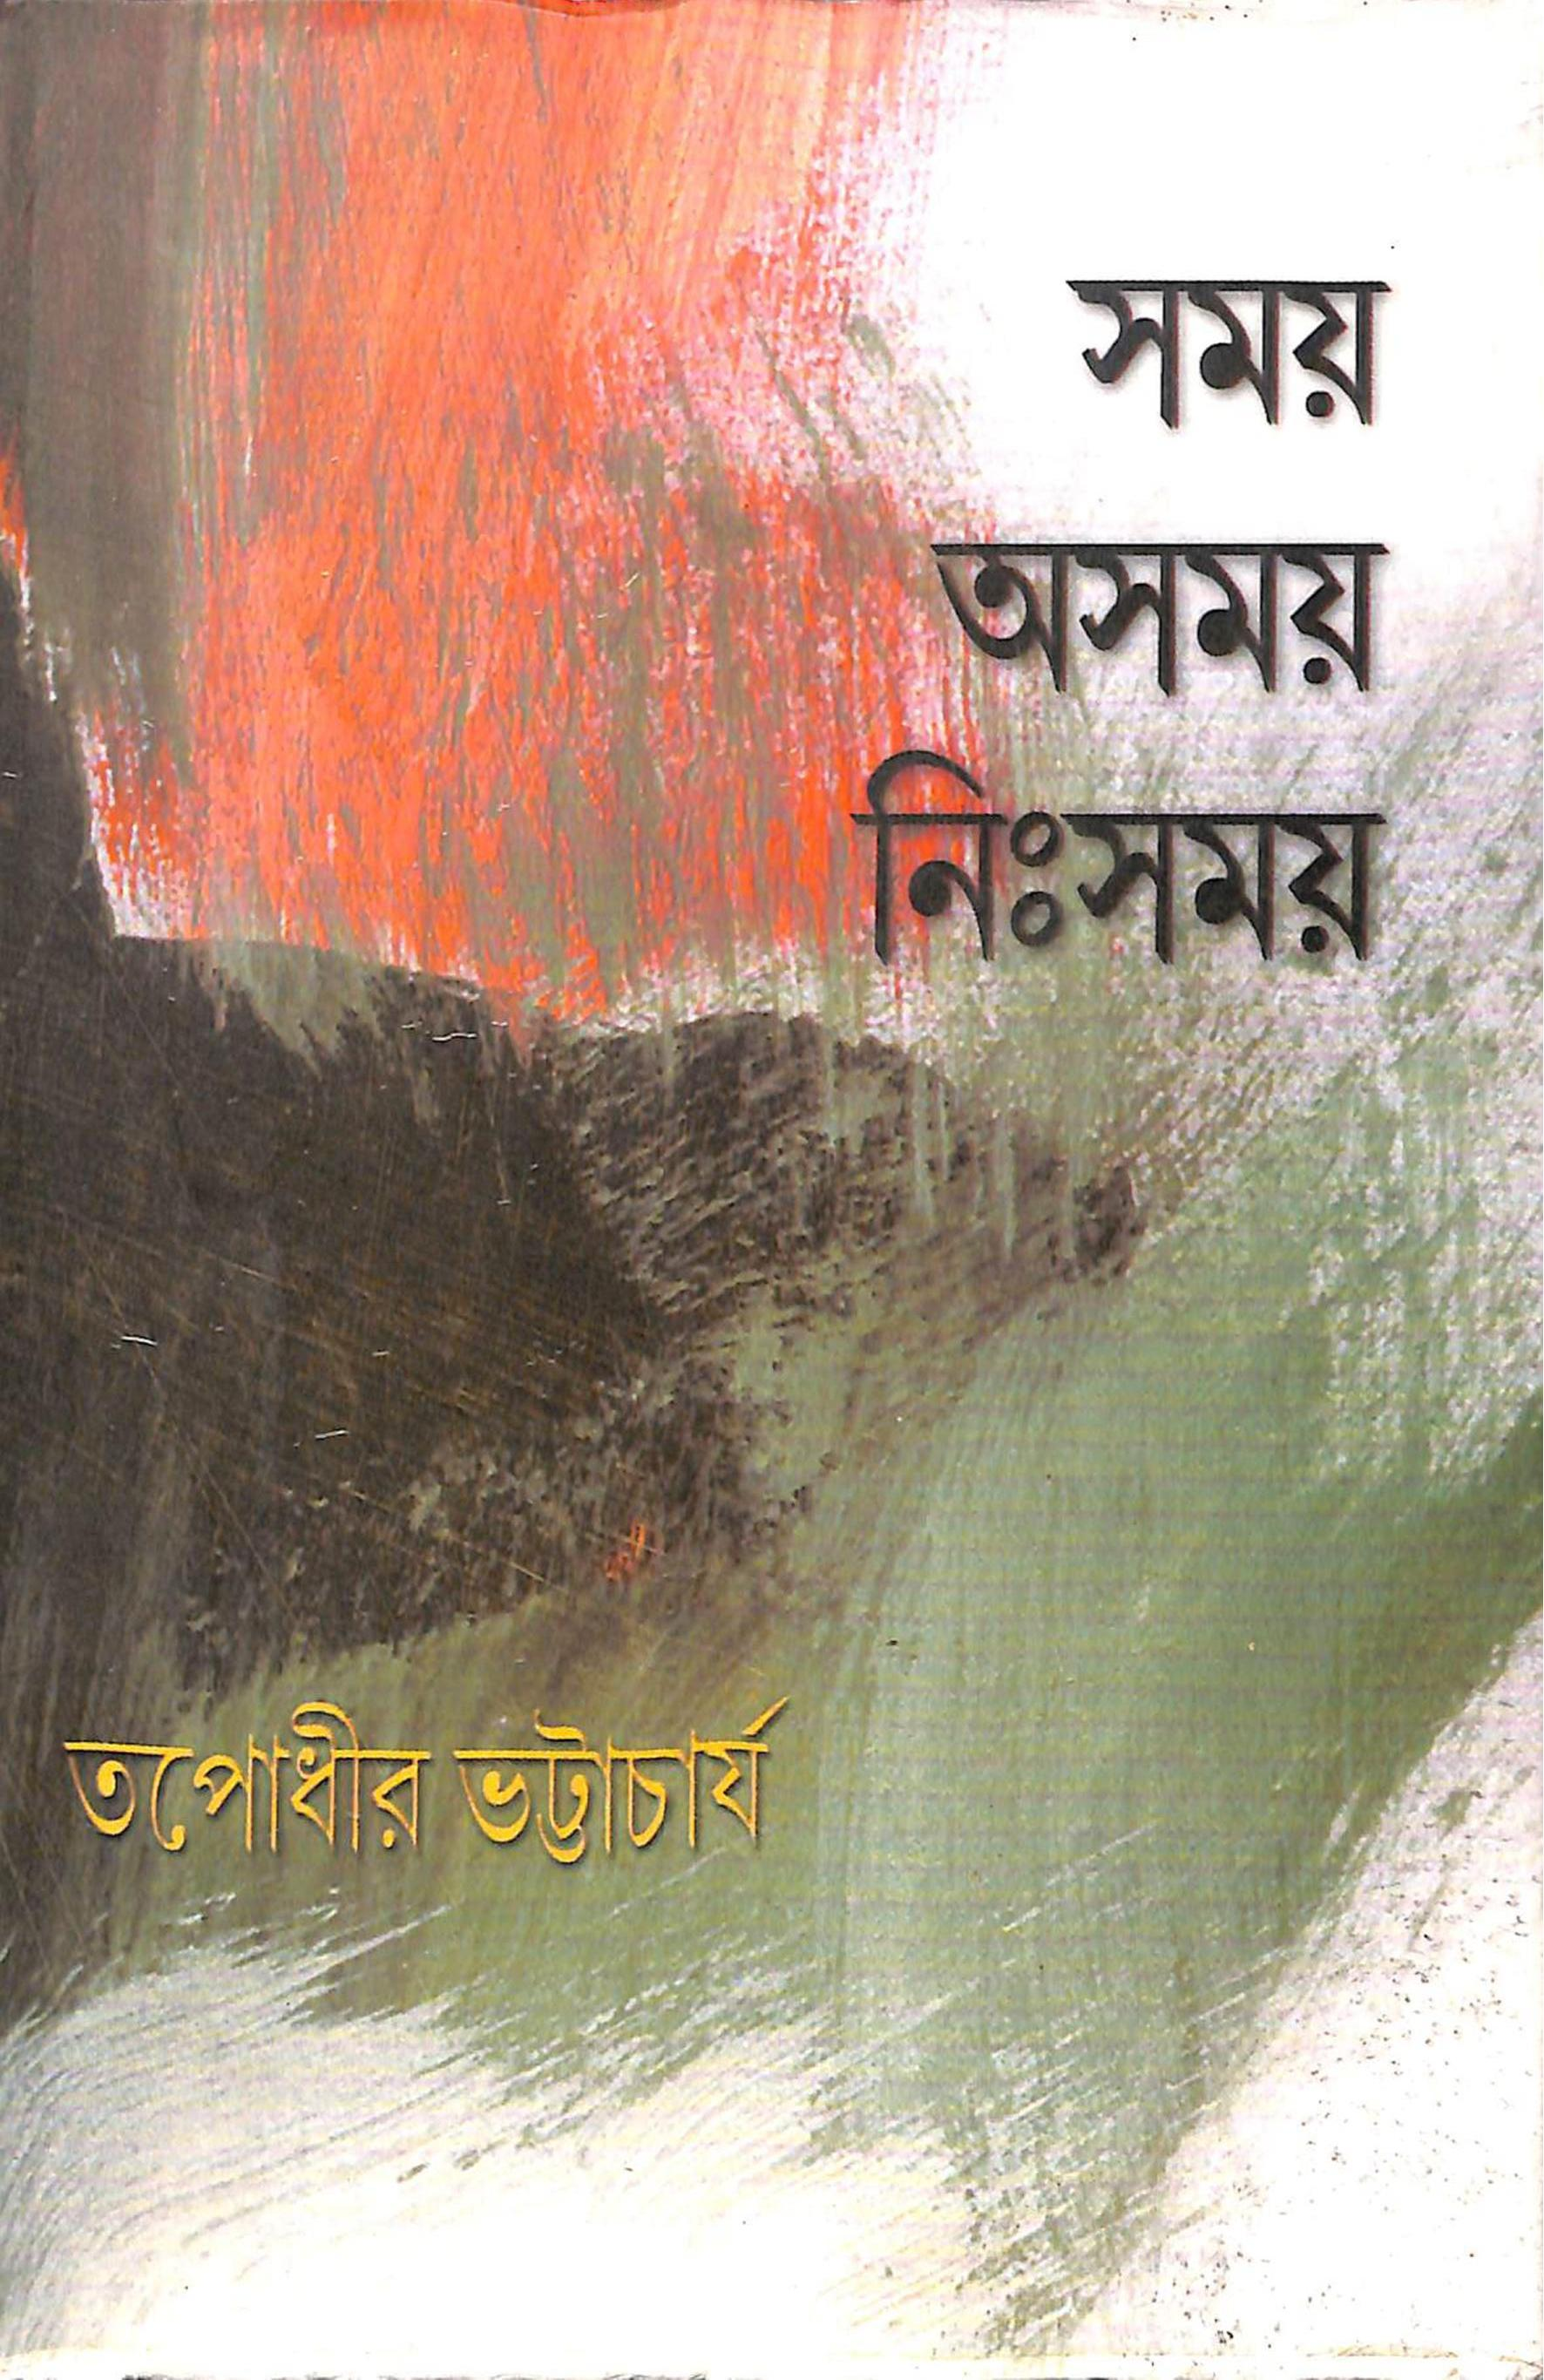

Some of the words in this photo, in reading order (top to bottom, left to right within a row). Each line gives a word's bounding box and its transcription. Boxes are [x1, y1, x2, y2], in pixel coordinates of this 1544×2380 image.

[1044, 265, 1398, 446] সময়
[925, 526, 1403, 704] অসময়
[831, 725, 1394, 981] নিঃসময়
[63, 1687, 443, 1872] তপোধীর
[453, 1698, 795, 1881] ভট্টাচার্য